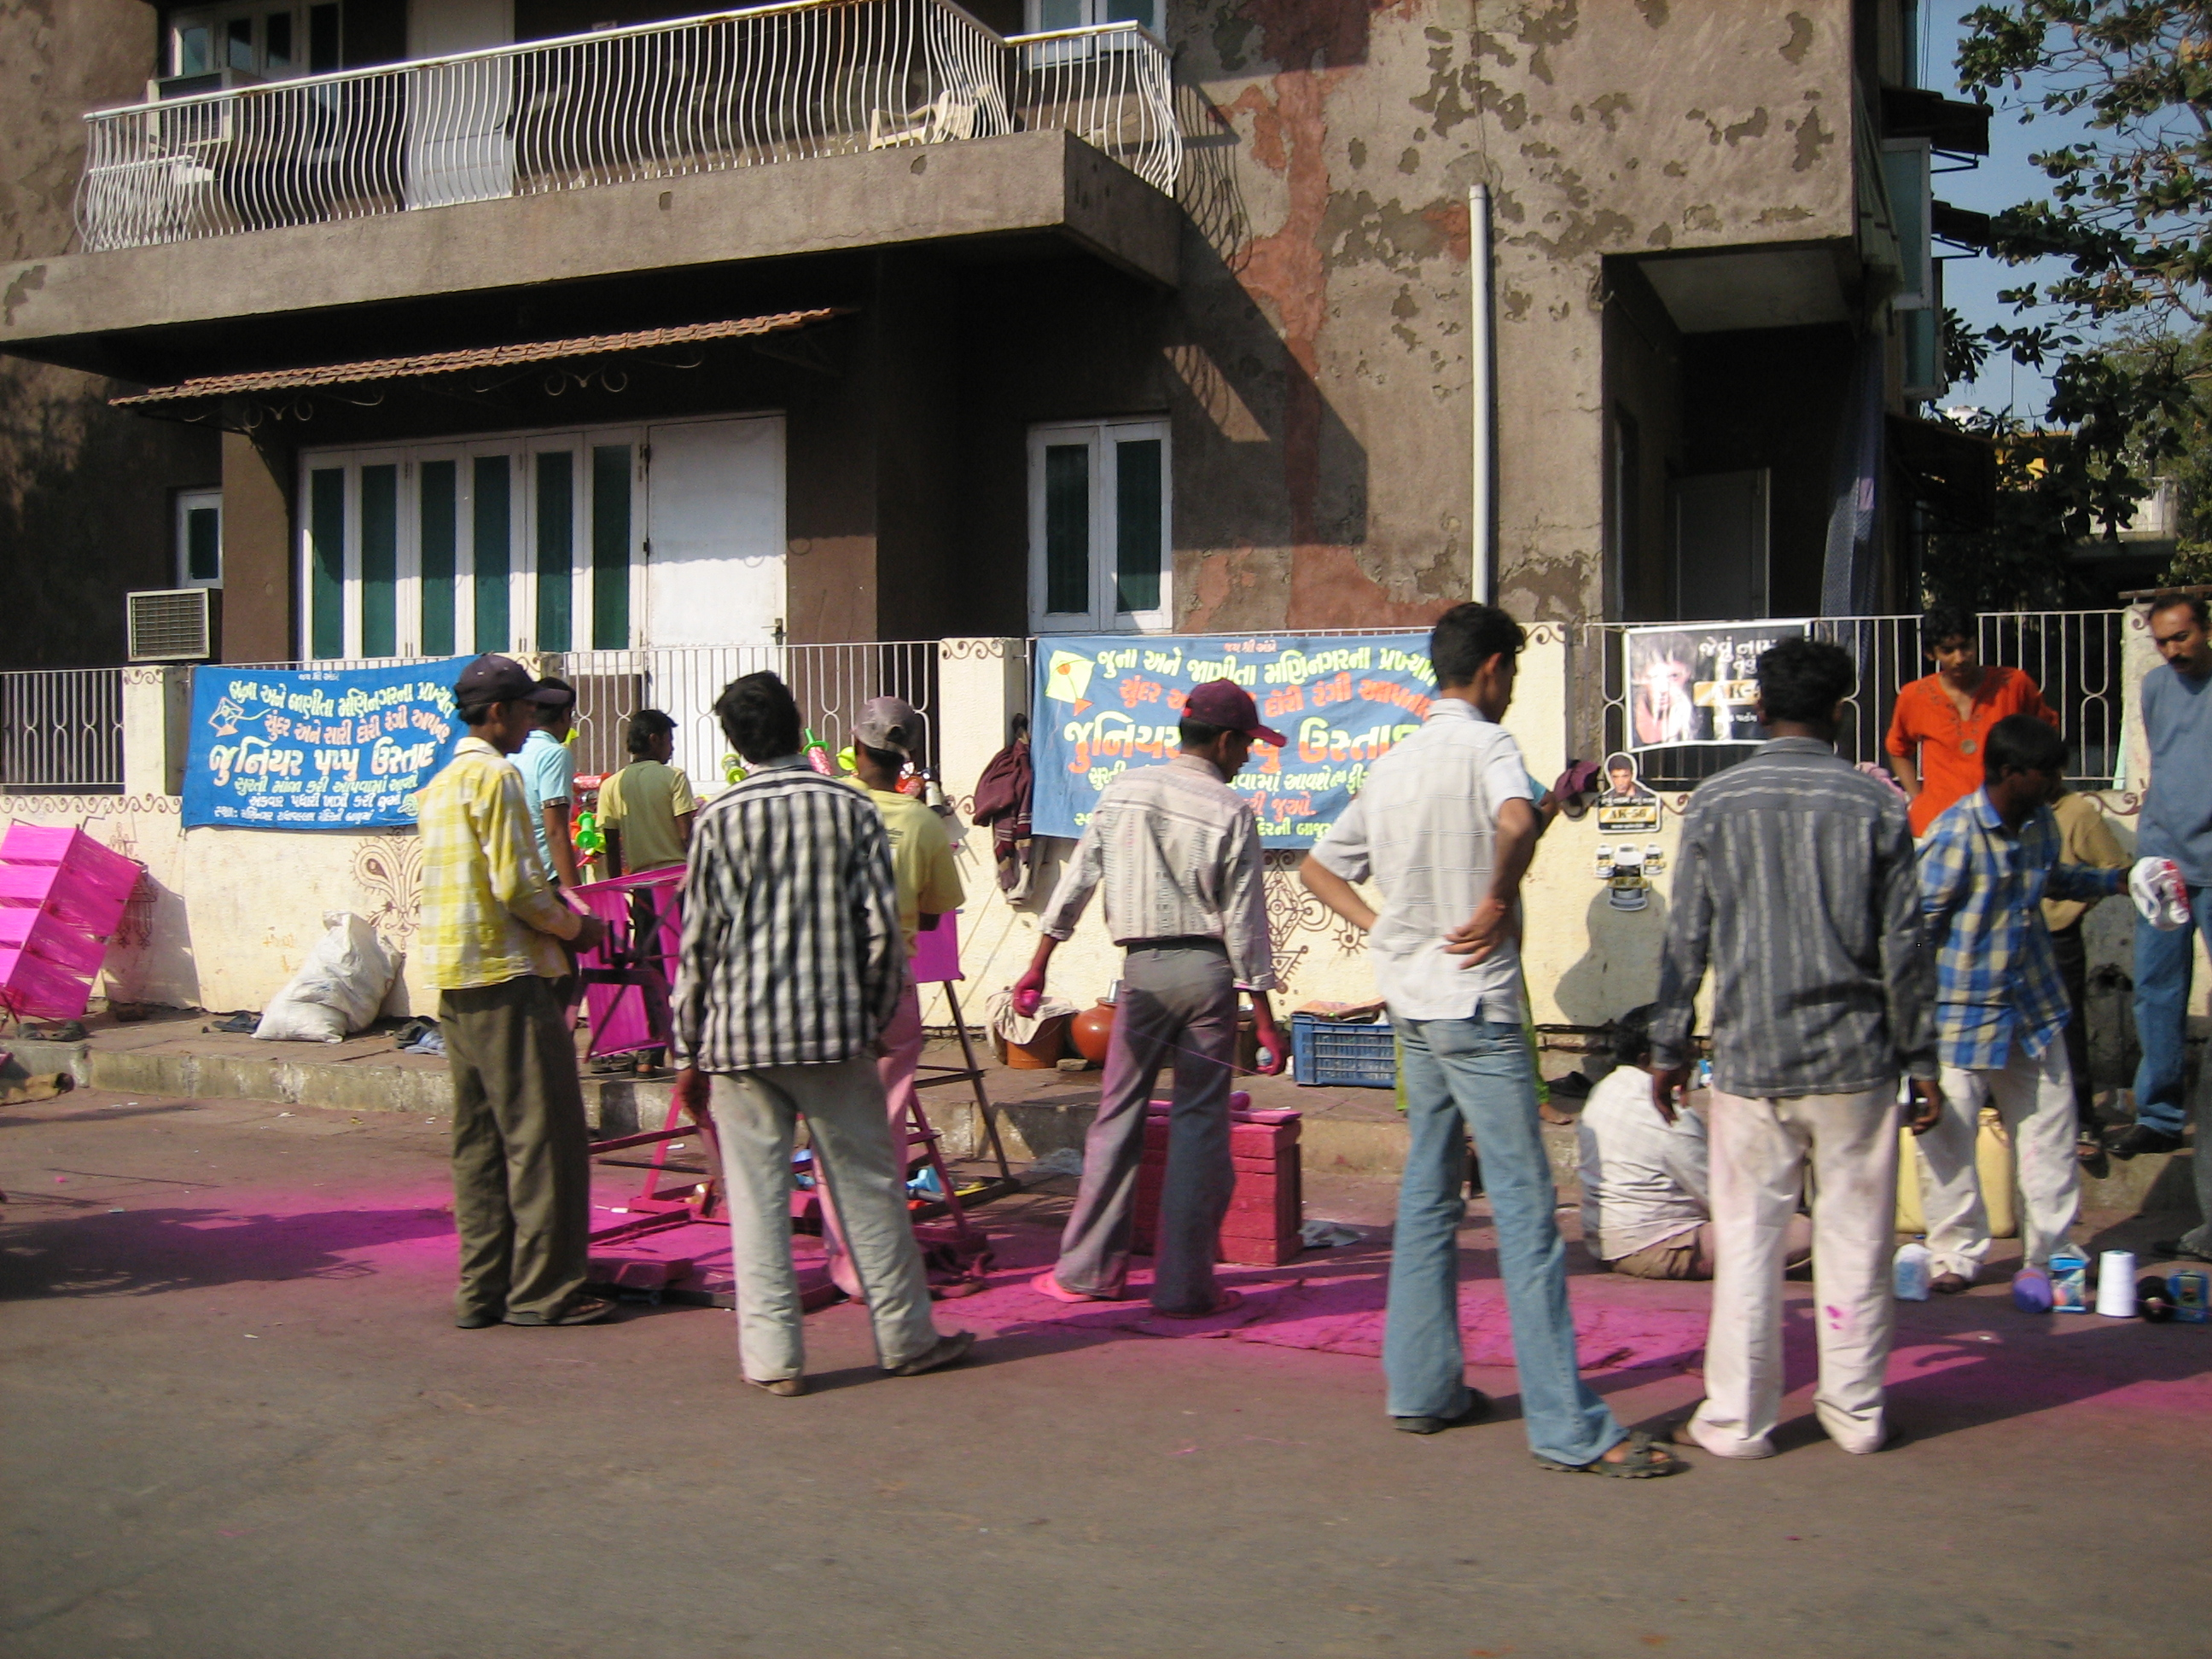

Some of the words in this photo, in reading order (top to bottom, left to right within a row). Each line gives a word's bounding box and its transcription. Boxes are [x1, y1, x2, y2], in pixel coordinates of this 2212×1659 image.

[1092, 644, 1179, 678] જુનાઅન
[1300, 649, 1358, 674] નગર
[1070, 717, 1168, 753] જનિય